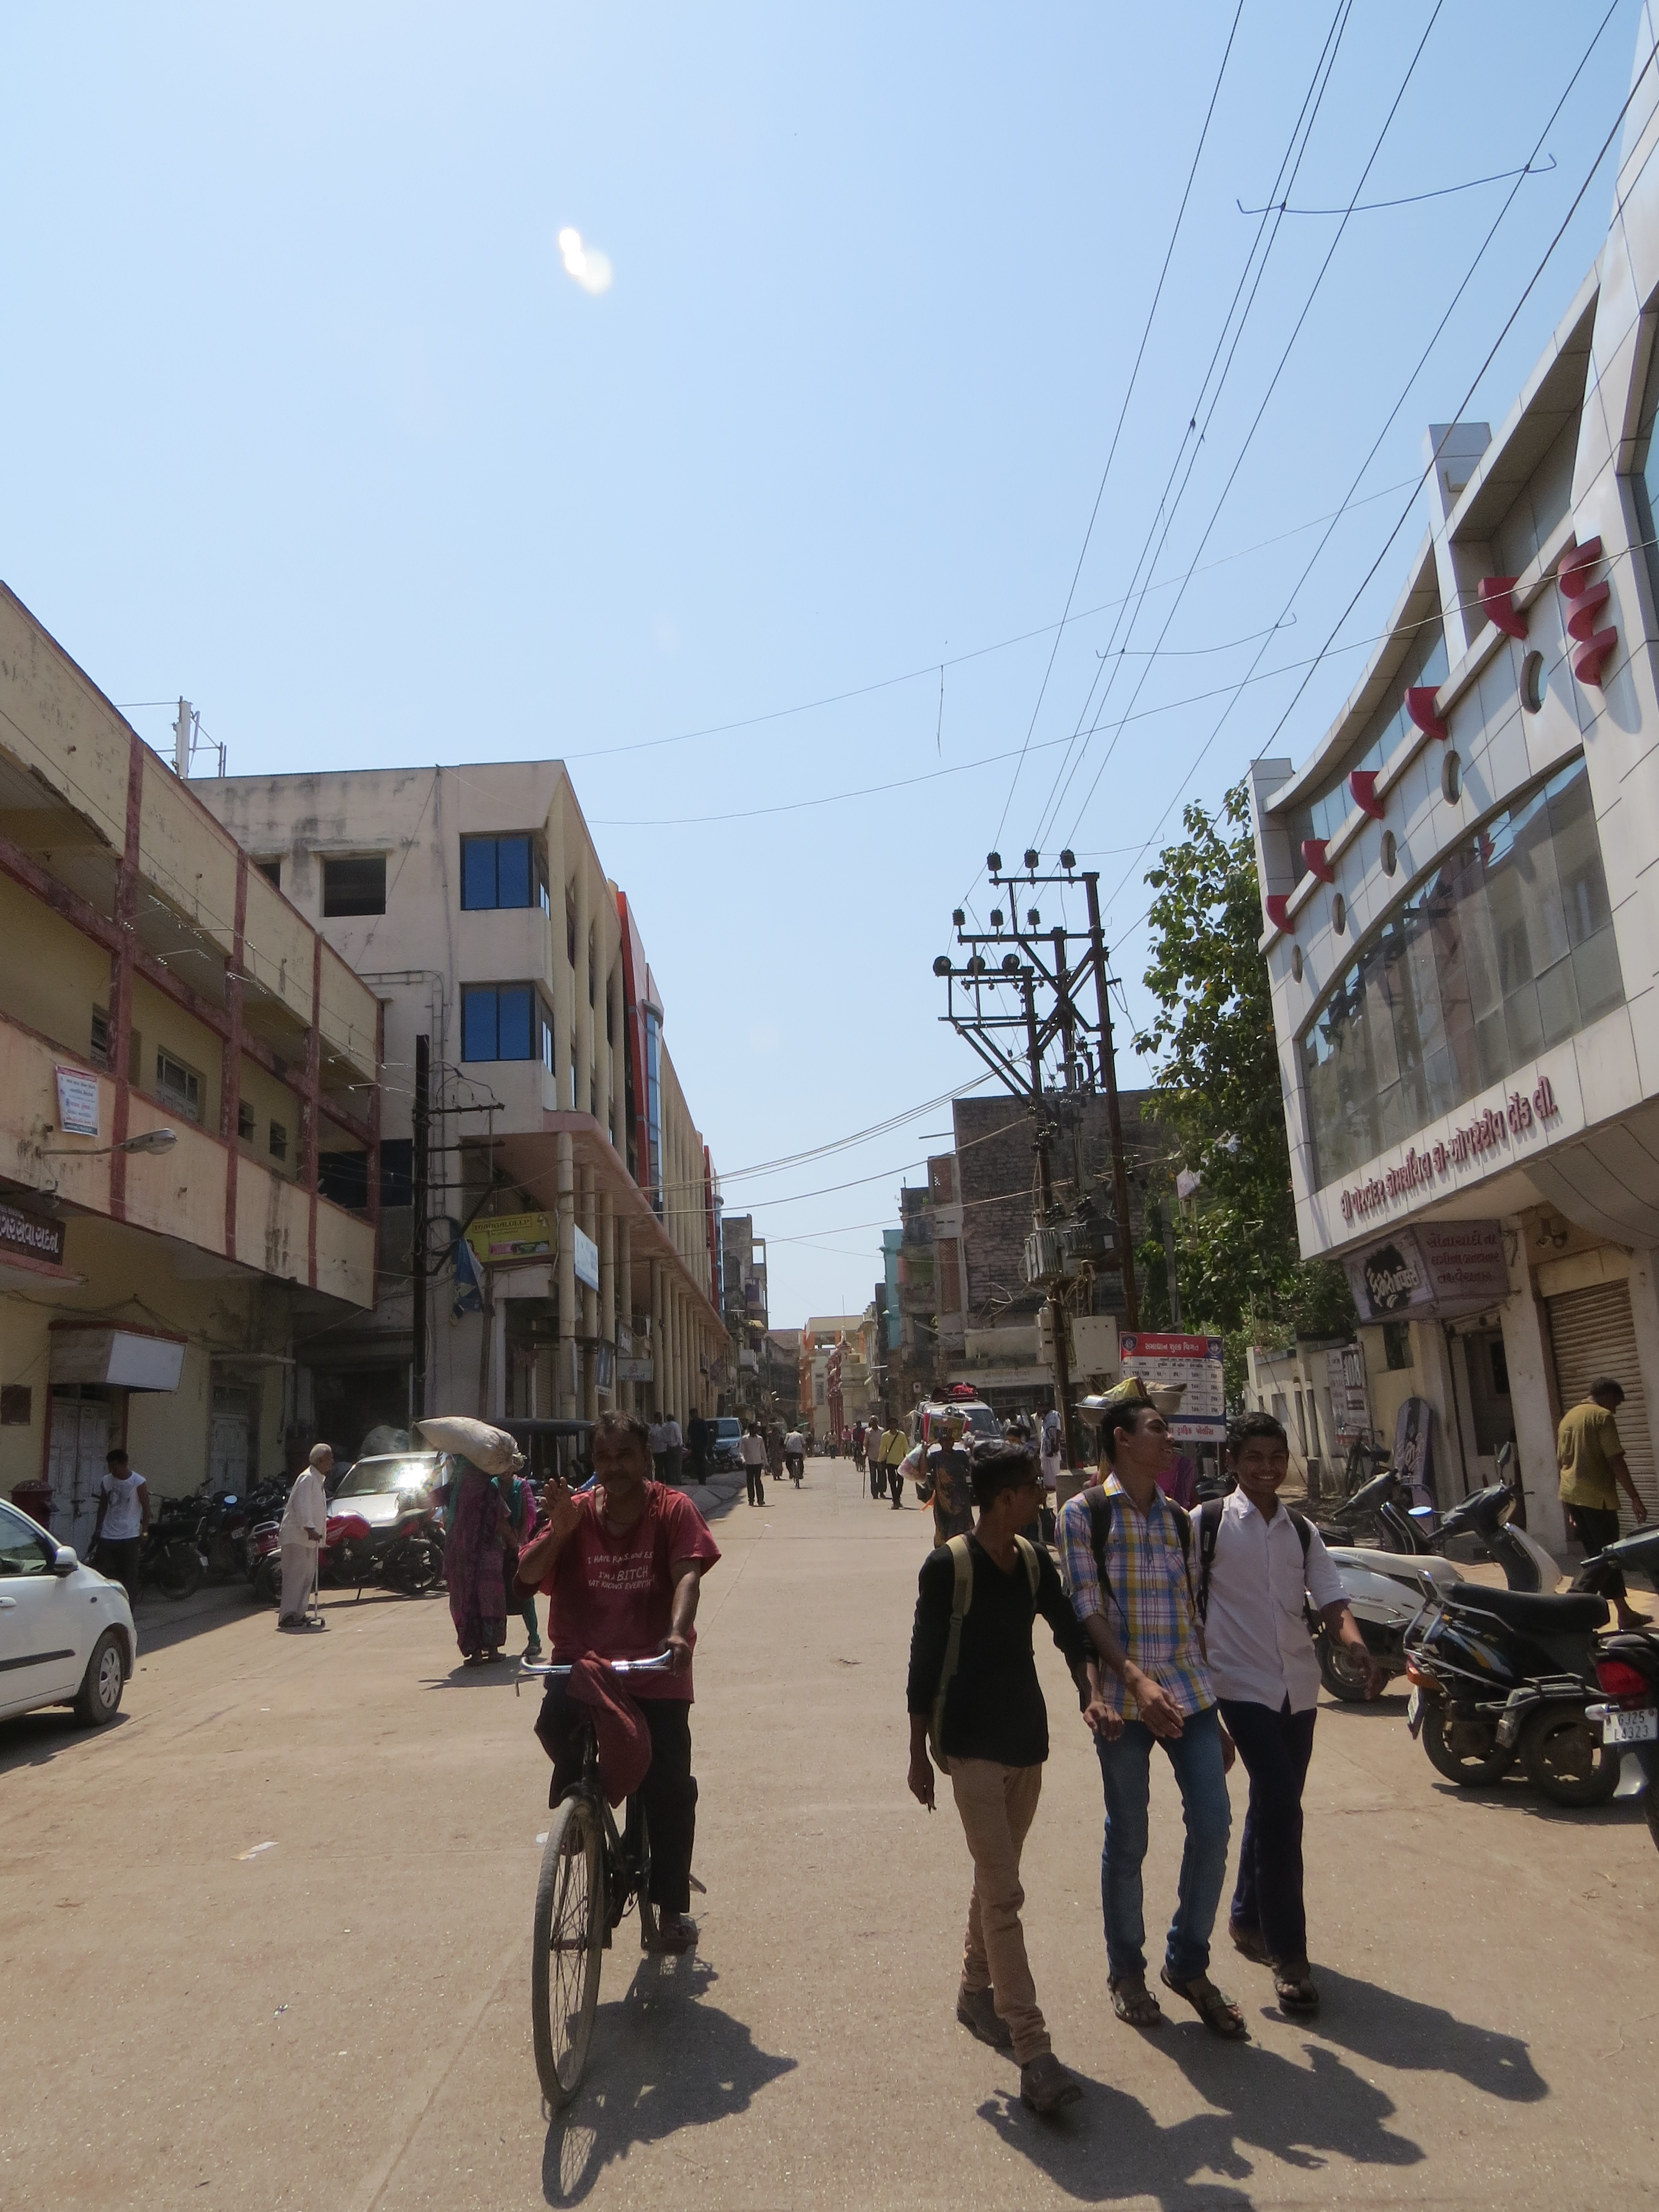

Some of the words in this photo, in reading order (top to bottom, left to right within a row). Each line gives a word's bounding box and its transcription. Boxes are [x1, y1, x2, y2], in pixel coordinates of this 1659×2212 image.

[1504, 1092, 1533, 1137] બેંક
[1525, 1072, 1563, 1123] લી.
[1427, 1104, 1510, 1175] કો-ઓપરેટીવ
[1349, 1174, 1387, 1217] પોરબંદર
[1381, 1144, 1436, 1202] કોમર્શિયલ
[617, 1563, 650, 1581] BITCH
[1611, 1723, 1651, 1742] L4323
[1614, 1710, 1653, 1726] GJ25